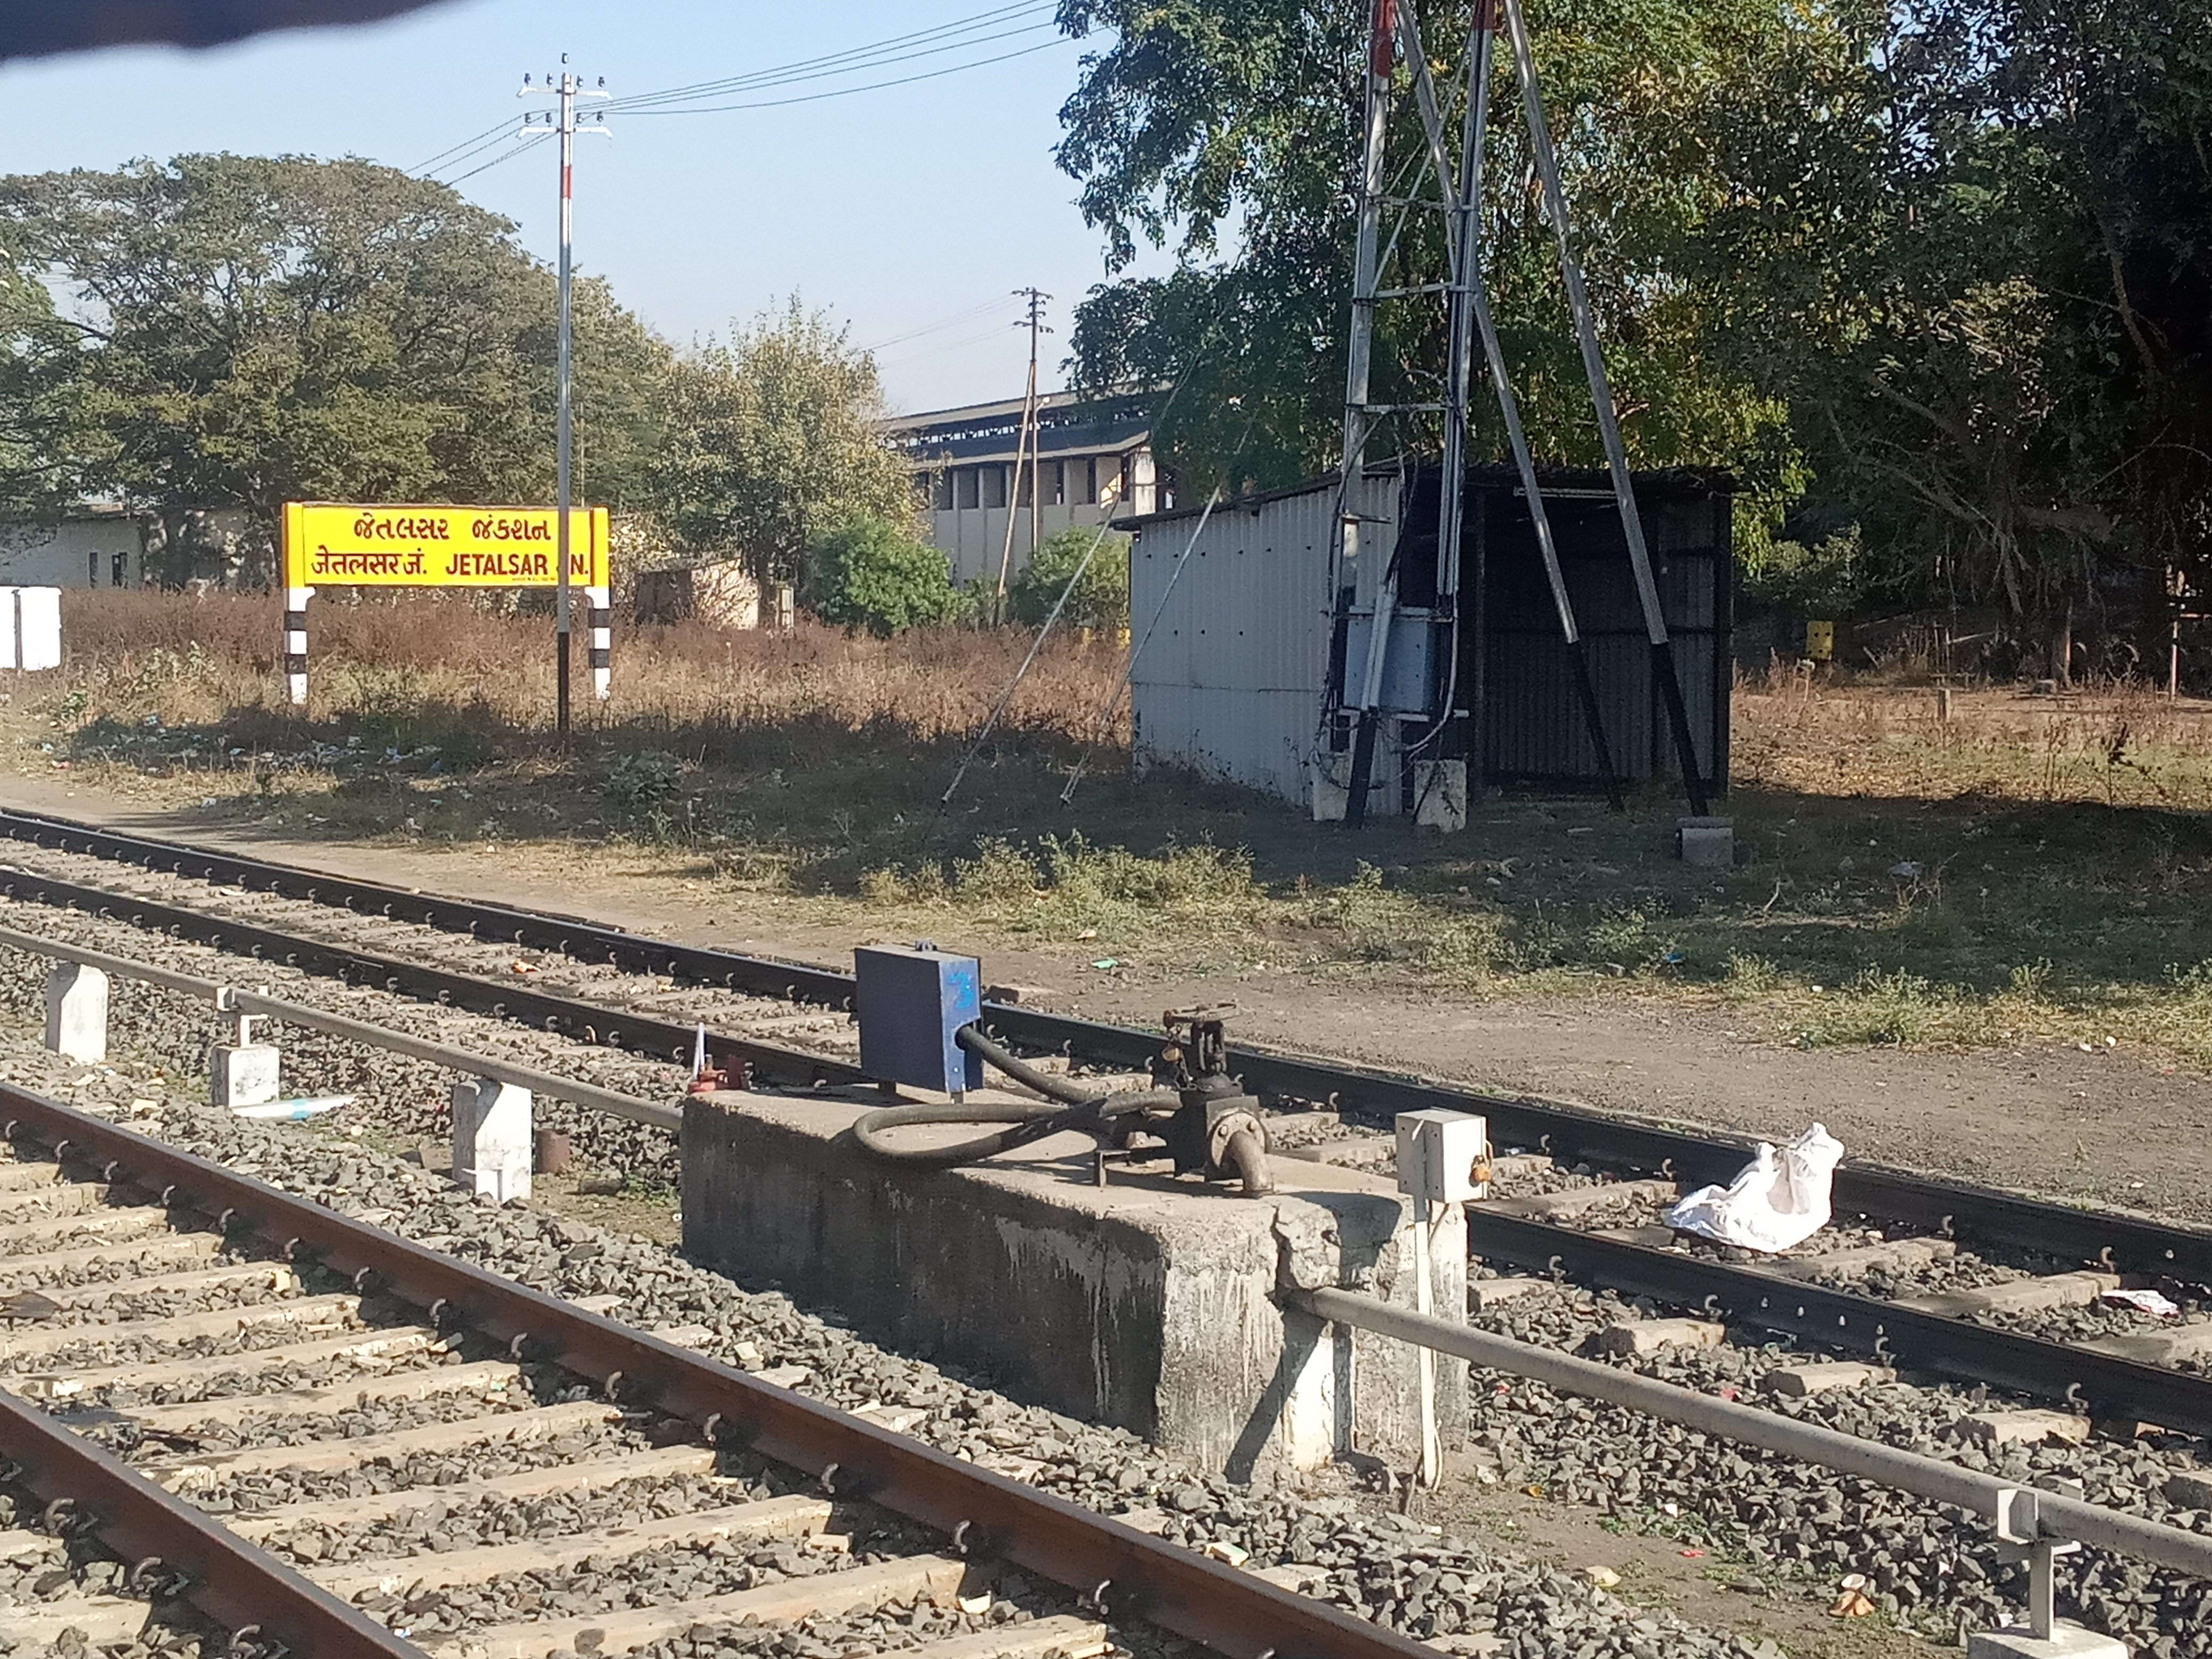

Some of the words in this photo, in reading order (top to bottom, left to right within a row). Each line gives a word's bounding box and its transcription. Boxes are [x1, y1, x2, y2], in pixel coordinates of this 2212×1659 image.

[350, 512, 453, 543] જેતલસ૨
[464, 512, 553, 546] જંકશન
[306, 541, 435, 577] जेतलसर जं.
[441, 546, 551, 579] JETALSAR
[568, 547, 591, 577] N.